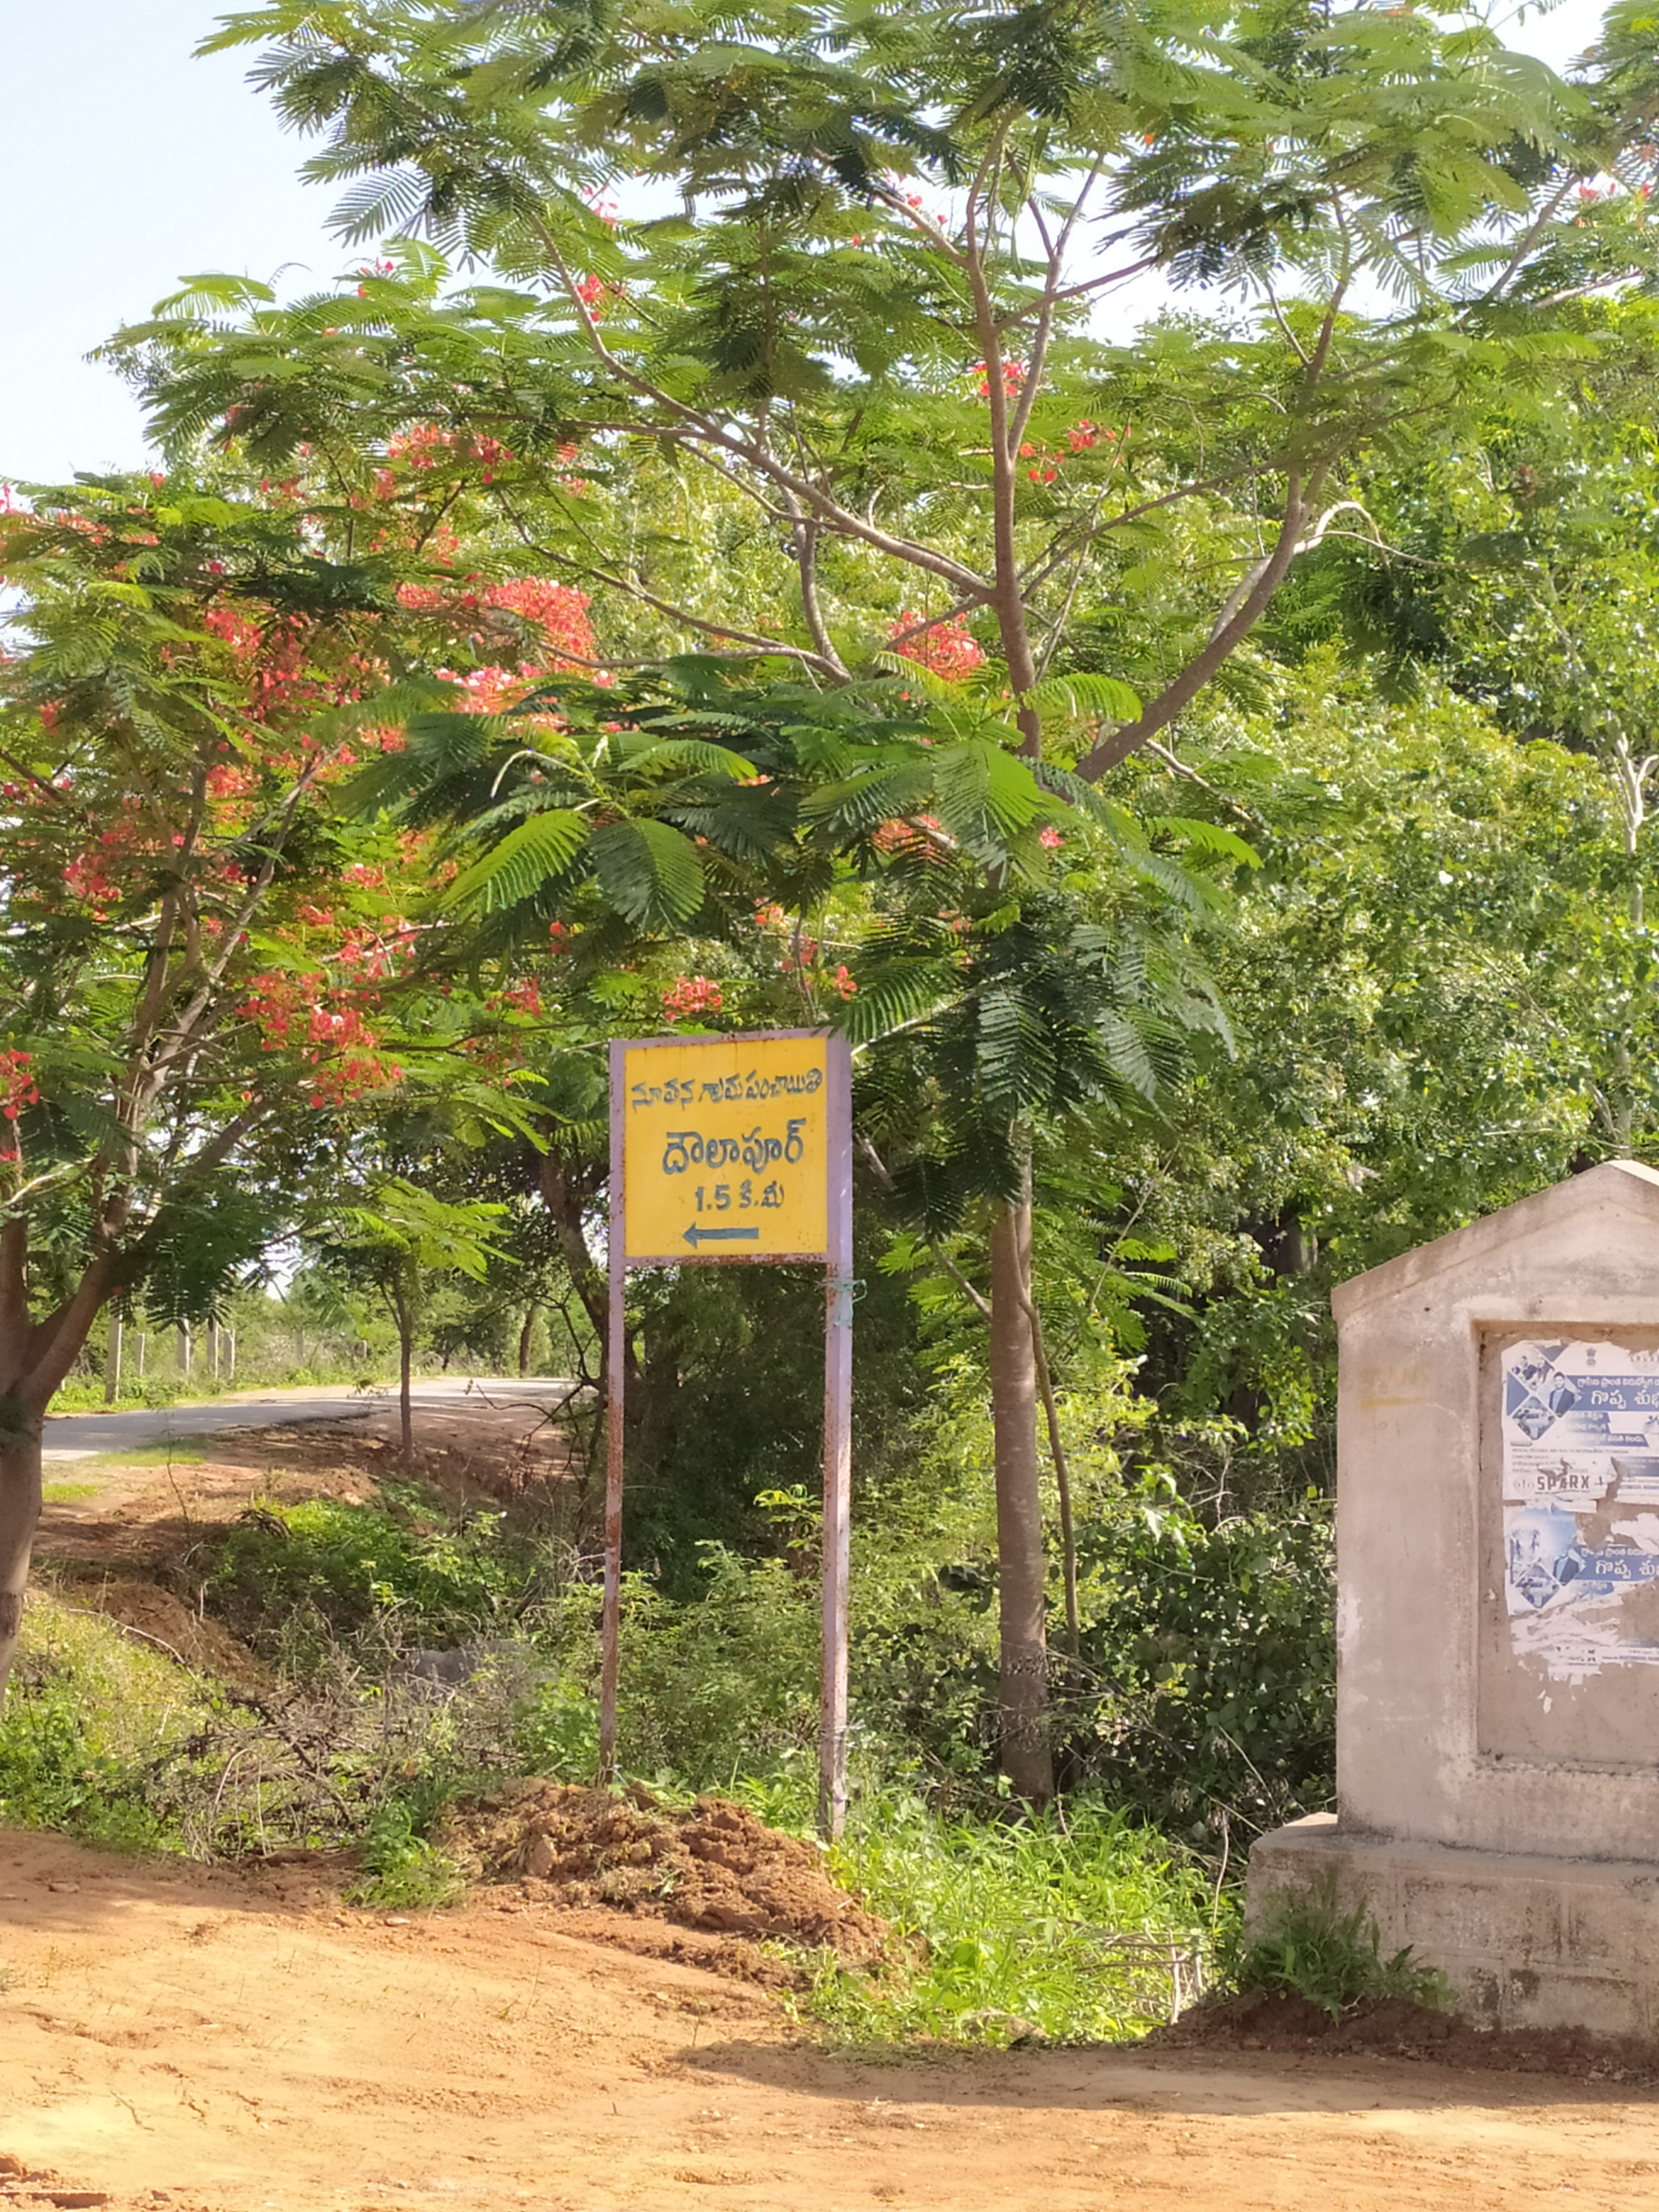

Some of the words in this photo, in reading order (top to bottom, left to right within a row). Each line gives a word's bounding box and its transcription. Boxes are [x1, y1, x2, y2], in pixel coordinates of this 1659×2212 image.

[623, 1065, 830, 1113] నూతన గ్రామ పంచాయితి
[656, 1116, 813, 1183] దౌలాపూర్
[691, 1178, 785, 1221] 1.5క.మ